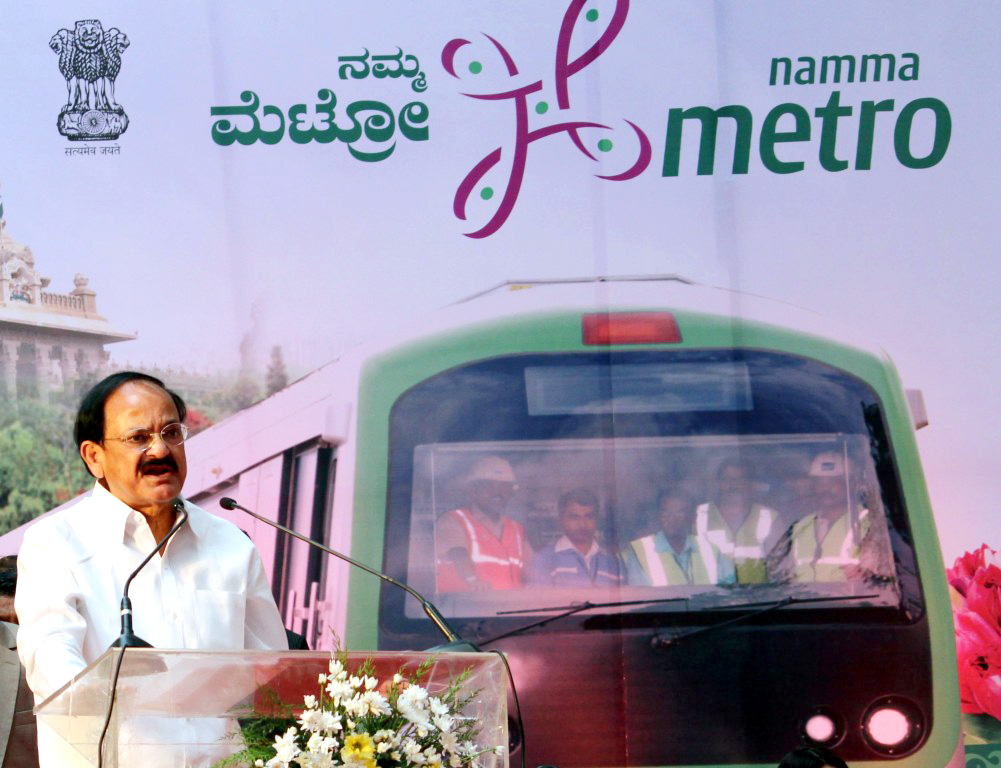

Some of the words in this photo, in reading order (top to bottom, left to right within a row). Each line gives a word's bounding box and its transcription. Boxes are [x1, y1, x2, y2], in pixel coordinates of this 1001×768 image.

[333, 41, 433, 100] ನಮ್ಮ
[765, 47, 927, 89] namma
[55, 136, 101, 159] सत्‍यमेव
[93, 135, 126, 160] जयते
[202, 83, 431, 168] ಮೆಟ್ರೋ
[656, 82, 959, 183] metro